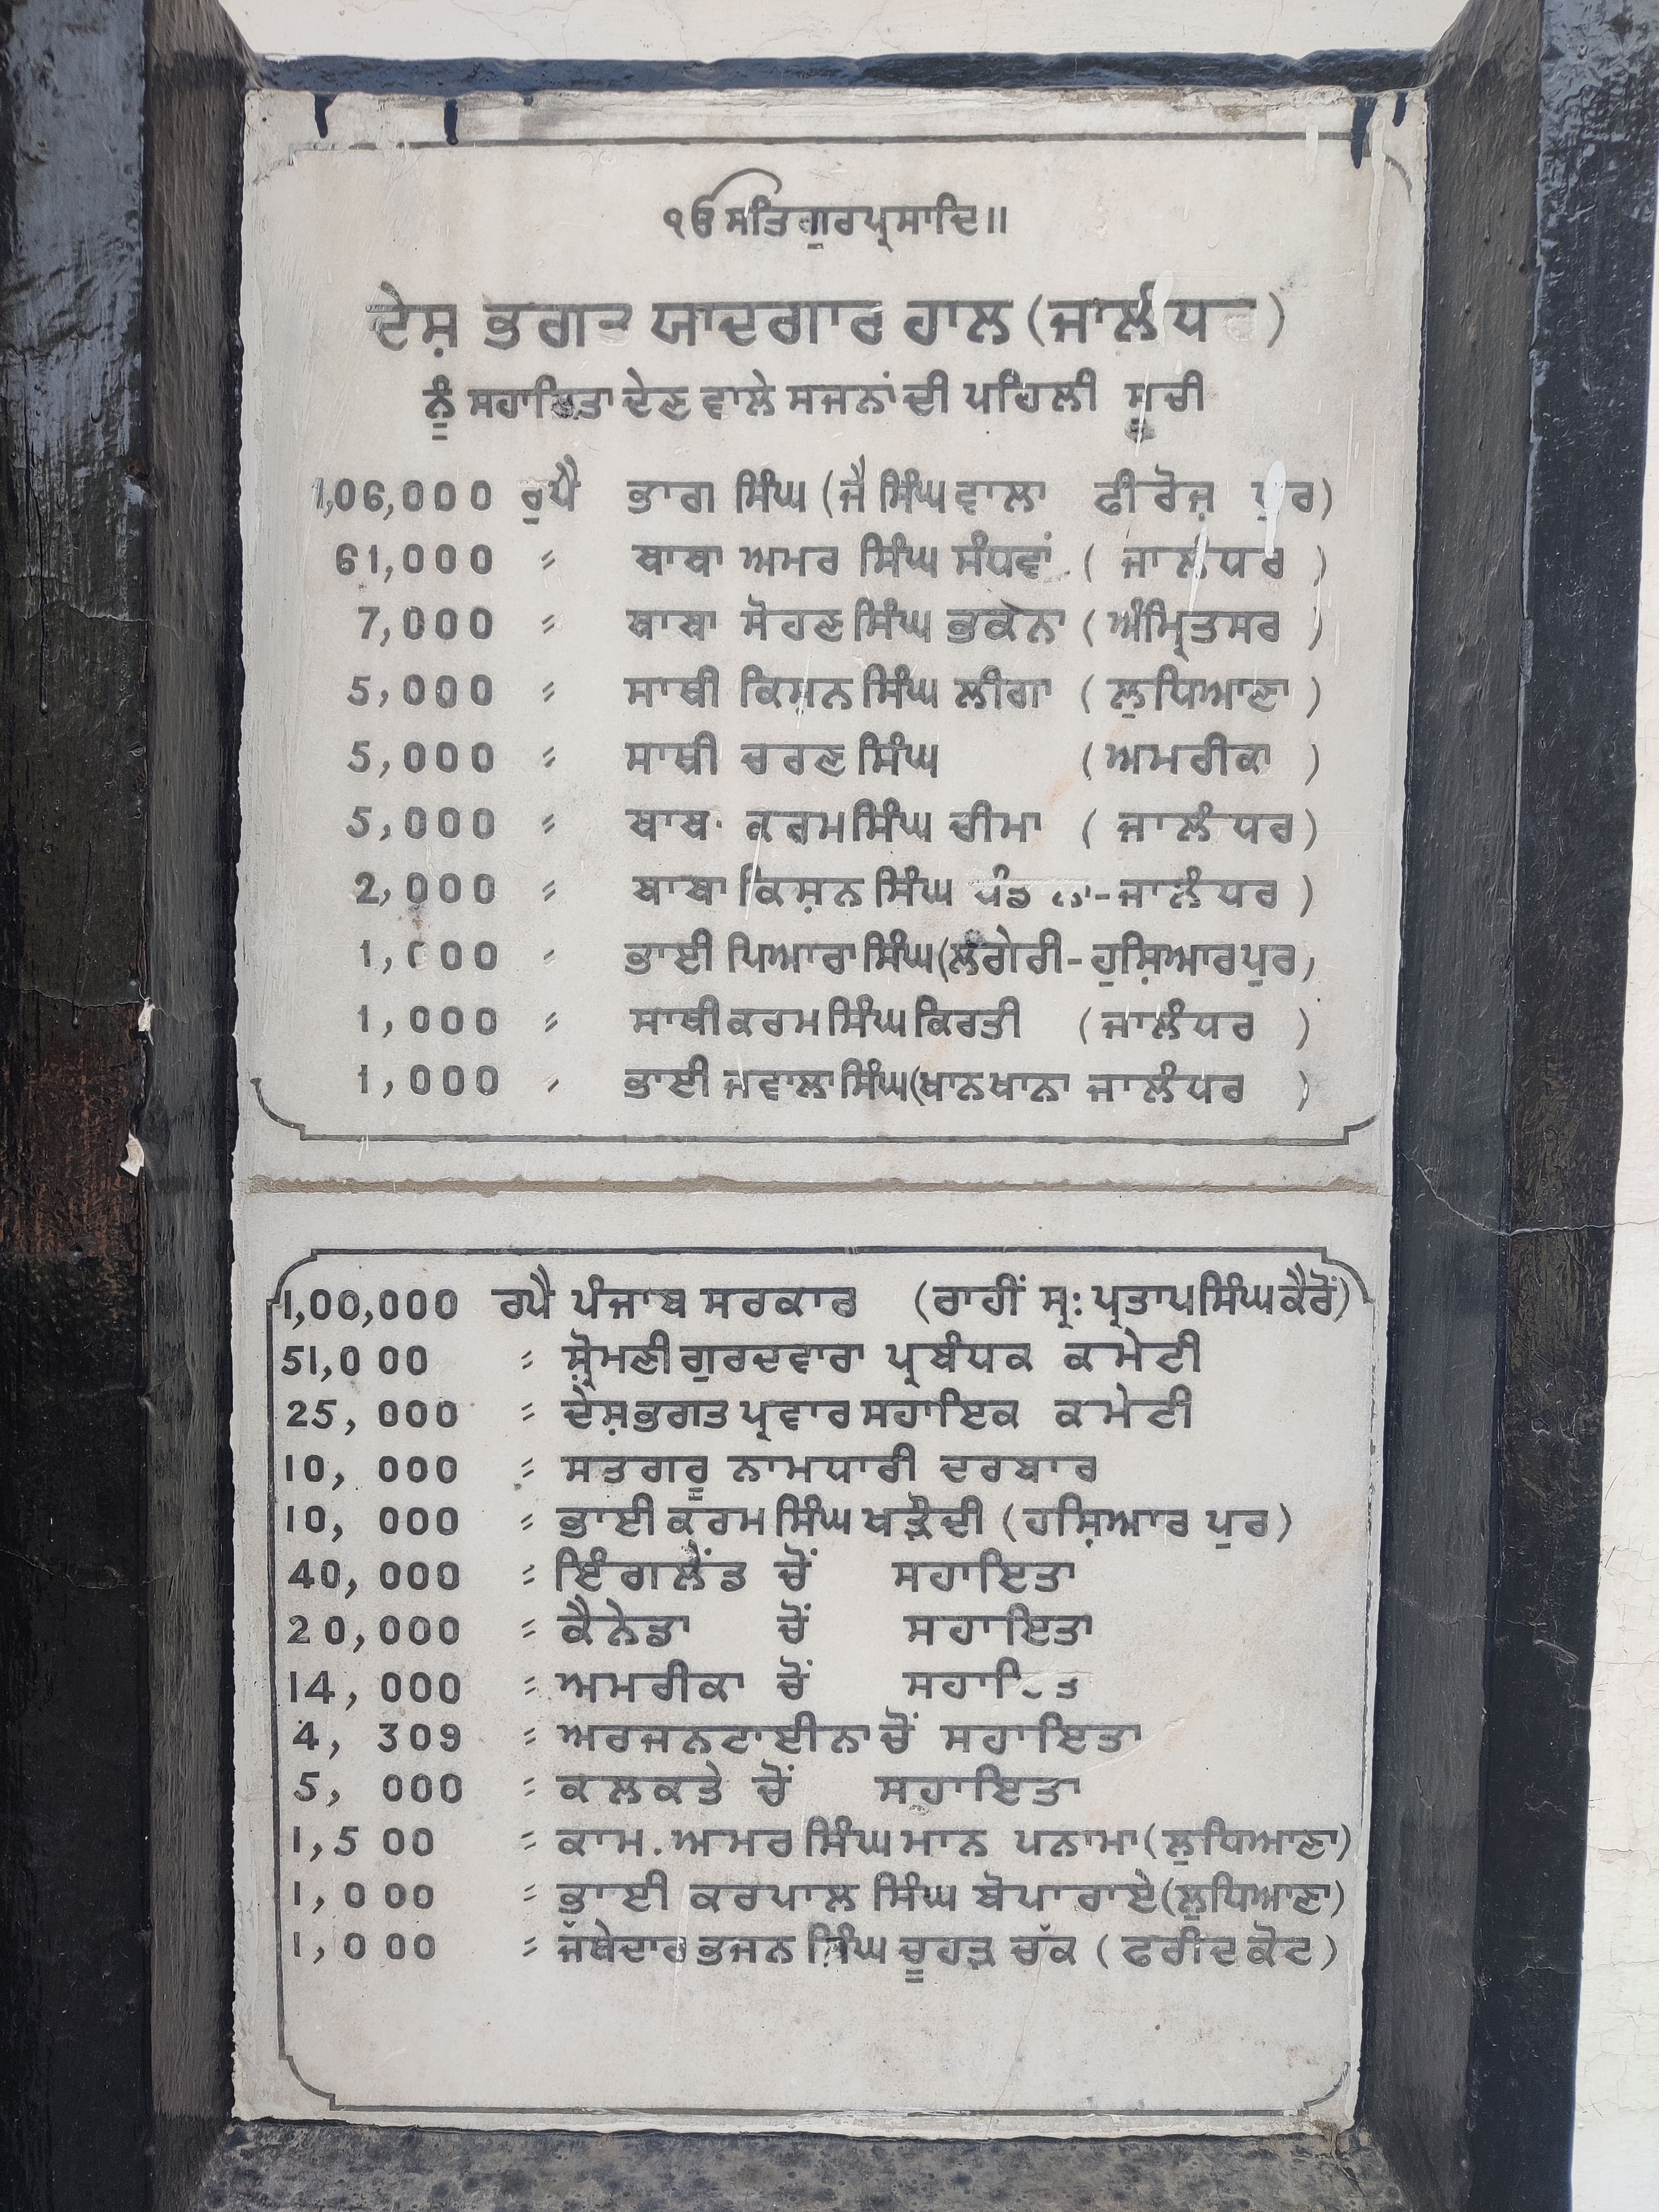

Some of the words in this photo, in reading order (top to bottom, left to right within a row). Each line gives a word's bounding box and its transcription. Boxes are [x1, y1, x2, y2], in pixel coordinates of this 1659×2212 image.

[650, 161, 794, 250] ੴ
[721, 189, 982, 259] ਸਤਿਗੁਰਪ੍ਰਸਾਦਿ
[984, 202, 1012, 238] 11
[352, 276, 469, 365] ਦੇਸ਼
[476, 290, 642, 356] ਭਗਤ
[645, 296, 890, 359] ਯਾਦਗਾਰ
[897, 290, 1021, 354] ਹਾਲ
[1042, 274, 1266, 356] ਜਾਲੰਧਰ
[415, 369, 460, 453] ਨੂੰ
[457, 371, 618, 430] ਸਹਾਇਤਾ
[616, 364, 693, 426] ਦੇਣ
[697, 367, 780, 425] ਵਾਲੇ
[782, 367, 900, 424] ਸਜਨਾਂ
[899, 365, 958, 426] ਦੀ
[958, 361, 1102, 421] ਪਹਿਲੀ
[1118, 361, 1217, 424] ਸਚੀ
[304, 467, 500, 527] 1,06,000
[509, 450, 590, 535] ਰੁਪੈ
[620, 472, 725, 526] ਭਾਗ
[728, 457, 812, 524] ਸਿੰਘ
[834, 447, 873, 520] ਜੈ
[873, 460, 951, 519] ਸਿੰਘ
[951, 473, 1055, 524] ਵਾਲਾ
[1082, 460, 1223, 534] ਫੀਰੋਜ਼
[1286, 472, 1319, 523] ਹ
[331, 533, 498, 584] 61,000
[625, 538, 729, 583] ਥਾਥਾ
[728, 533, 845, 584] ਅਮਰ
[853, 526, 945, 582] ਸਿੰਘ
[947, 526, 1061, 584] ਸੰਧਵਾਂ
[1113, 533, 1294, 589] ਜਾਲੰਧਰ
[349, 593, 498, 647] 7,000
[619, 601, 725, 648] ਬਾਬਾ
[735, 589, 852, 647] ਸੋਹਣ
[851, 590, 936, 650] ਸਿੰਘ
[940, 596, 1073, 651] ਭਕੇਨਾ
[1096, 592, 1296, 664] ਅੰਮ੍ਰਿਤਸਰ
[343, 670, 503, 717] 5,000
[608, 661, 724, 719] ਸਾਥੀ
[732, 653, 859, 718] ਕਿਸ਼ਨ
[854, 656, 945, 720] ਸਿੰਘ
[949, 664, 1057, 720] ਲੀਗਾ
[1102, 660, 1298, 727] ਲੁਧਿਆਣਾ
[337, 732, 502, 783] 5,000
[617, 725, 724, 785] ਸਾਥੀ
[732, 727, 852, 785] ਚਰਣ
[852, 722, 951, 787] ਸਿੰਘ
[1097, 727, 1279, 788] ਅਮਰੀਕਾ
[338, 797, 508, 851] 5,000
[619, 801, 726, 846] ਬਾਬ
[737, 794, 935, 852] ਕਰਮਸਿੰਘ
[938, 794, 1048, 854] ਚੀਮਾ
[1110, 796, 1300, 853] ਜਾਲੰਧਰ
[342, 864, 502, 916] 2,000
[623, 866, 733, 914] ਬਾਬਾ
[732, 861, 870, 917] ਕਿਸ਼ਨ
[865, 856, 960, 919] ਸਿੰਘ
[1109, 863, 1283, 917] ਜਾਨੰਧਰ
[356, 932, 503, 977] 1,000
[615, 926, 717, 984] ਭਾਈ
[719, 926, 859, 981] ਪਿਆਰਾ
[859, 925, 936, 977] ਸਿੰਘ
[943, 920, 1304, 994] ਲੰਗੇਰੀ- ਹੁਸ਼ਿਆਰਪੁਰ
[350, 990, 512, 1045] 1,000
[622, 988, 722, 1041] ਸਾਥੀ
[722, 999, 824, 1044] ਕਰਮ
[822, 989, 911, 1045] ਸਿੰਘ
[910, 988, 1028, 1046] ਕਿਰਤੀ
[1097, 992, 1267, 1046] ਜਾਲੰਧਰ
[349, 1060, 505, 1109] 1,000
[612, 1049, 720, 1112] ਭਾਈ
[719, 1064, 837, 1109] ਜਵਾਲਾ
[837, 1053, 910, 1106] ਸਿੰਘ
[916, 1067, 1076, 1112] ਖਾਨਖਾਨਾ
[1081, 1057, 1251, 1107] ਜਾਲੰਧਰ
[281, 1282, 470, 1333] 1,00,000
[487, 1261, 561, 1330] ਰਪੈ
[568, 1271, 693, 1321] ਪੰਜਾਬ
[698, 1282, 861, 1324] ਸਰਕਾਰ
[928, 1268, 1030, 1326] ਰਾਹੀਂ
[1034, 1277, 1085, 1335] ਸ੍ਰ:
[1089, 1261, 1342, 1331] ਪ੍ਰਤਾਪਸਿੰਘਕੈਰੋਂ
[278, 1341, 439, 1385] 51,000
[555, 1325, 676, 1394] ਸ਼੍ਰੋਮਣੀ
[676, 1340, 872, 1388] ਗੁਰਦਵਾਰਾ
[883, 1326, 1037, 1391] ਪ੍ਰਬੰਧਕ
[1059, 1325, 1204, 1376] ਕਮੇਈ
[282, 1395, 459, 1442] 25,000
[556, 1383, 633, 1440] ਦੇਸ਼
[630, 1396, 734, 1438] ਭਗਤ
[737, 1397, 852, 1445] ਪ੍ਰਵਾਰ
[853, 1385, 1025, 1435] ਸਹਾਇਕ
[1049, 1380, 1197, 1434] ਕਮੇਟੀ
[283, 1451, 463, 1495] 10,000
[554, 1454, 711, 1502] ਸਤਾਗਰੂ
[722, 1439, 920, 1488] ਨਾਮਧਾਰੀ
[935, 1452, 1104, 1491] ਦਰਬਾਰ
[281, 1502, 461, 1547] 10,000
[550, 1490, 661, 1542] ਭਾਈ
[664, 1503, 767, 1541] ਕਰਮ
[773, 1488, 856, 1543] ਸਿੰਘ
[858, 1490, 988, 1546] ਖੜੌਦੀ
[1017, 1490, 1197, 1553] ਹਸ਼ਿਆਰ
[1201, 1505, 1272, 1553] ਪੁਰ
[285, 1556, 466, 1605] 40,000
[552, 1538, 753, 1599] ਇੰਗਲੇਂਡ
[771, 1540, 823, 1595] ਚੋਂ
[887, 1543, 1079, 1599] ਸਹਾਇਤਾ
[284, 1612, 463, 1658] 20,000
[552, 1592, 693, 1652] ਕੈਨੇਡਾ
[770, 1596, 817, 1650] ਚੋਂ
[898, 1600, 1098, 1656] ਸਹਾਇਤਾ
[286, 1668, 466, 1714] 14,000
[549, 1652, 748, 1710] ਅਮਰੀਕਾ
[765, 1652, 818, 1702] ਚੋਂ
[899, 1651, 1099, 1705] ਸਹਾਤ
[287, 1718, 478, 1762] 4,309
[547, 1706, 875, 1760] ਅਰਜਨਟਾਈਨਾ
[873, 1704, 922, 1757] ਚੋਂ
[935, 1708, 1144, 1764] ਸਹਾਇਤਾ
[286, 1768, 469, 1810] 5,000
[551, 1758, 729, 1811] ਕਲਕਤੇ
[738, 1757, 799, 1814] ਚੋਂ
[870, 1761, 1091, 1809] ਸਹਾਇਤਾ
[283, 1821, 439, 1865] 1,500
[549, 1822, 668, 1864] ਕਾਮ.
[668, 1820, 797, 1863] ਆਮਰ
[801, 1809, 896, 1863] ਸਿੰਘ
[898, 1826, 992, 1862] ਮਾਨ
[1008, 1821, 1145, 1862] ਪਨਾਮਾ
[1157, 1813, 1344, 1871] ਲੁਧਿਆਣਾ
[285, 1879, 438, 1914] 1,000
[549, 1866, 672, 1931] ਭਾਈ
[687, 1882, 862, 1921] ਕਰਪਾਲ
[868, 1865, 963, 1917] ਸਿੰਘ
[968, 1867, 1161, 1921] ਬੋਪਾਰਾਏ
[1172, 1869, 1336, 1924] ਲੁਧਿਆਣਾ
[287, 1926, 440, 1973] 1,000
[551, 1916, 691, 1968] ਜਥੇਦਾਰ
[693, 1933, 798, 1969] ਭਜਨ
[804, 1918, 890, 1974] ਸਿੰਘ
[897, 1934, 1003, 1988] ਚੂਹੜ
[1005, 1919, 1080, 1972] ਚੱਕ
[1117, 1924, 1244, 1974] ਫਰੀਦ
[1240, 1917, 1320, 1974] ਕੋਟ